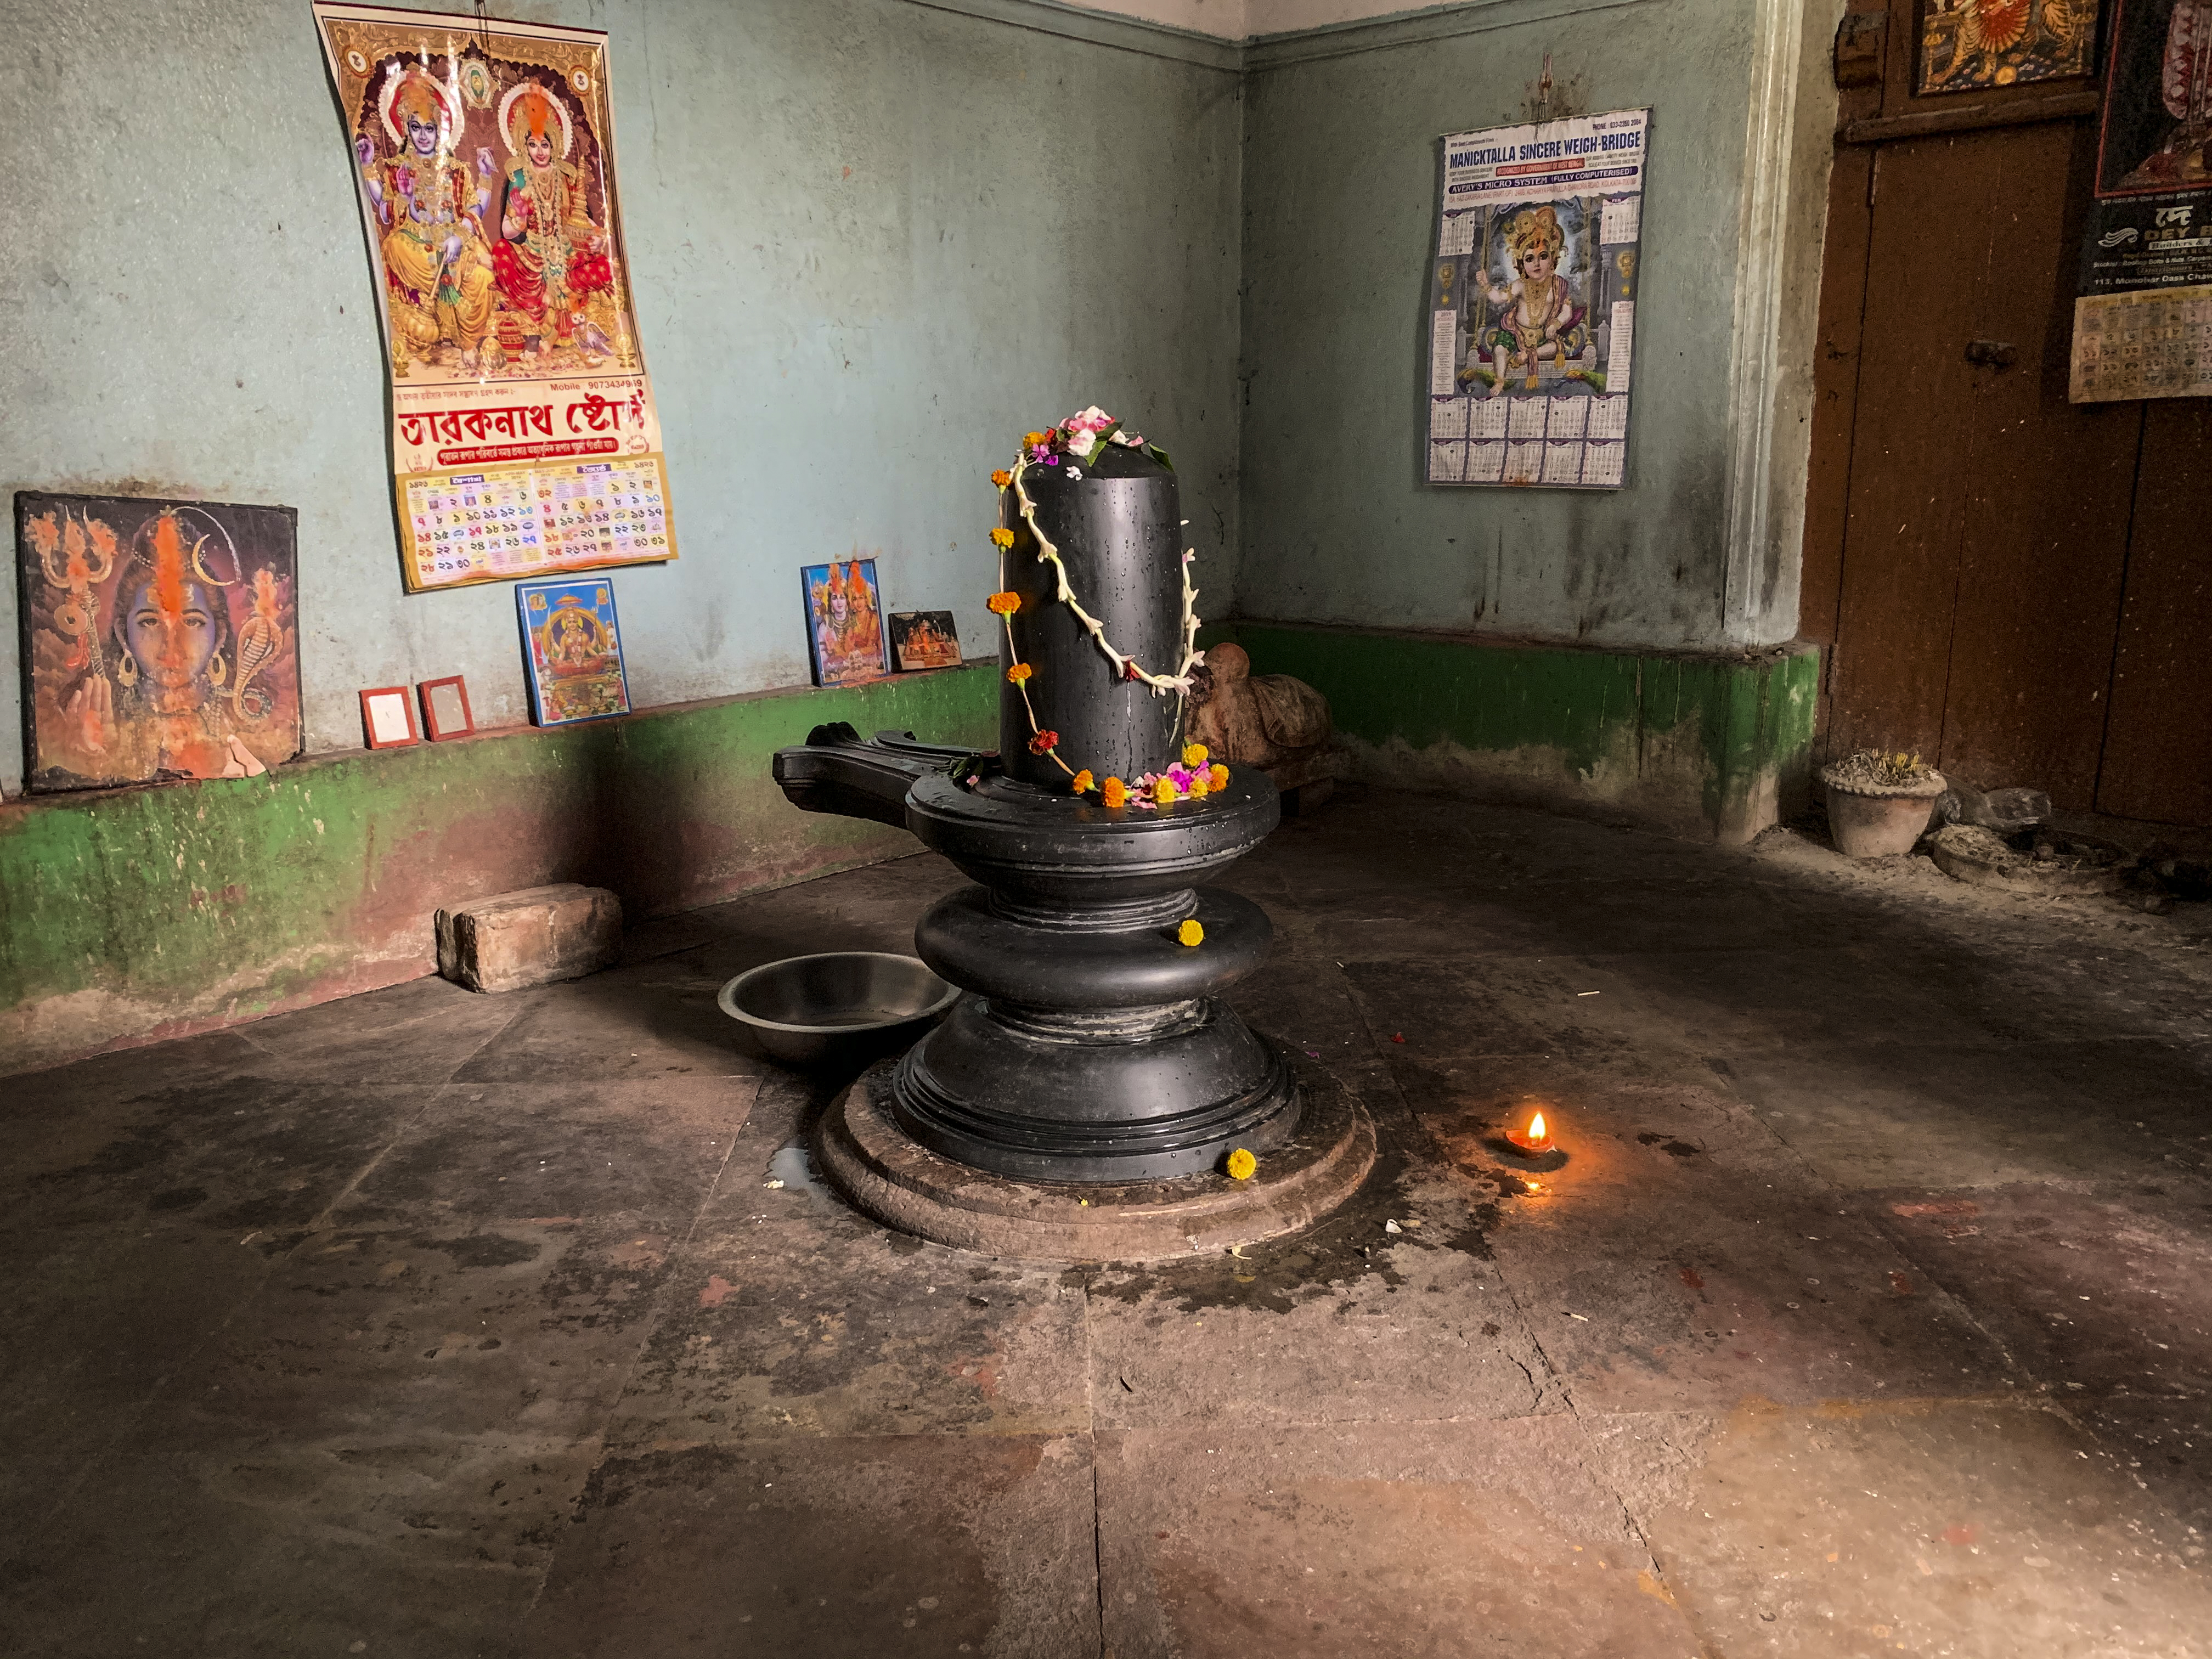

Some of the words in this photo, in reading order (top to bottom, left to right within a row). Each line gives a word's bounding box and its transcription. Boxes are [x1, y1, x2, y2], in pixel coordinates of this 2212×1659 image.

[1588, 117, 1644, 135] PHONE: 033-2350 2084
[1447, 143, 1518, 173] MANICKTALLA
[1516, 137, 1563, 164] SINCERE
[1561, 133, 1599, 160] WEIGH
[1598, 128, 1643, 154] BRIDGE
[1448, 180, 1486, 197] AVERY
[1483, 174, 1515, 191] MICRO
[1511, 173, 1551, 188] SYSTEM
[1550, 170, 1577, 185] (FULLY
[1573, 165, 1634, 182] COMPUTERISED)
[2144, 202, 2196, 232] দে
[2142, 223, 2191, 245] DEY
[396, 396, 556, 450] তারকনাথ
[437, 446, 462, 470] পূরাতন
[458, 446, 477, 466] প্রকার
[471, 442, 501, 462] পরিবর্তে
[494, 441, 530, 460] সমস্ত প্রকার
[524, 439, 558, 461] অত্যাধুনিক
[552, 437, 576, 457] রূপার
[578, 459, 610, 473] জ্যৈষ্ঠ
[448, 473, 484, 489] বৈশাখ